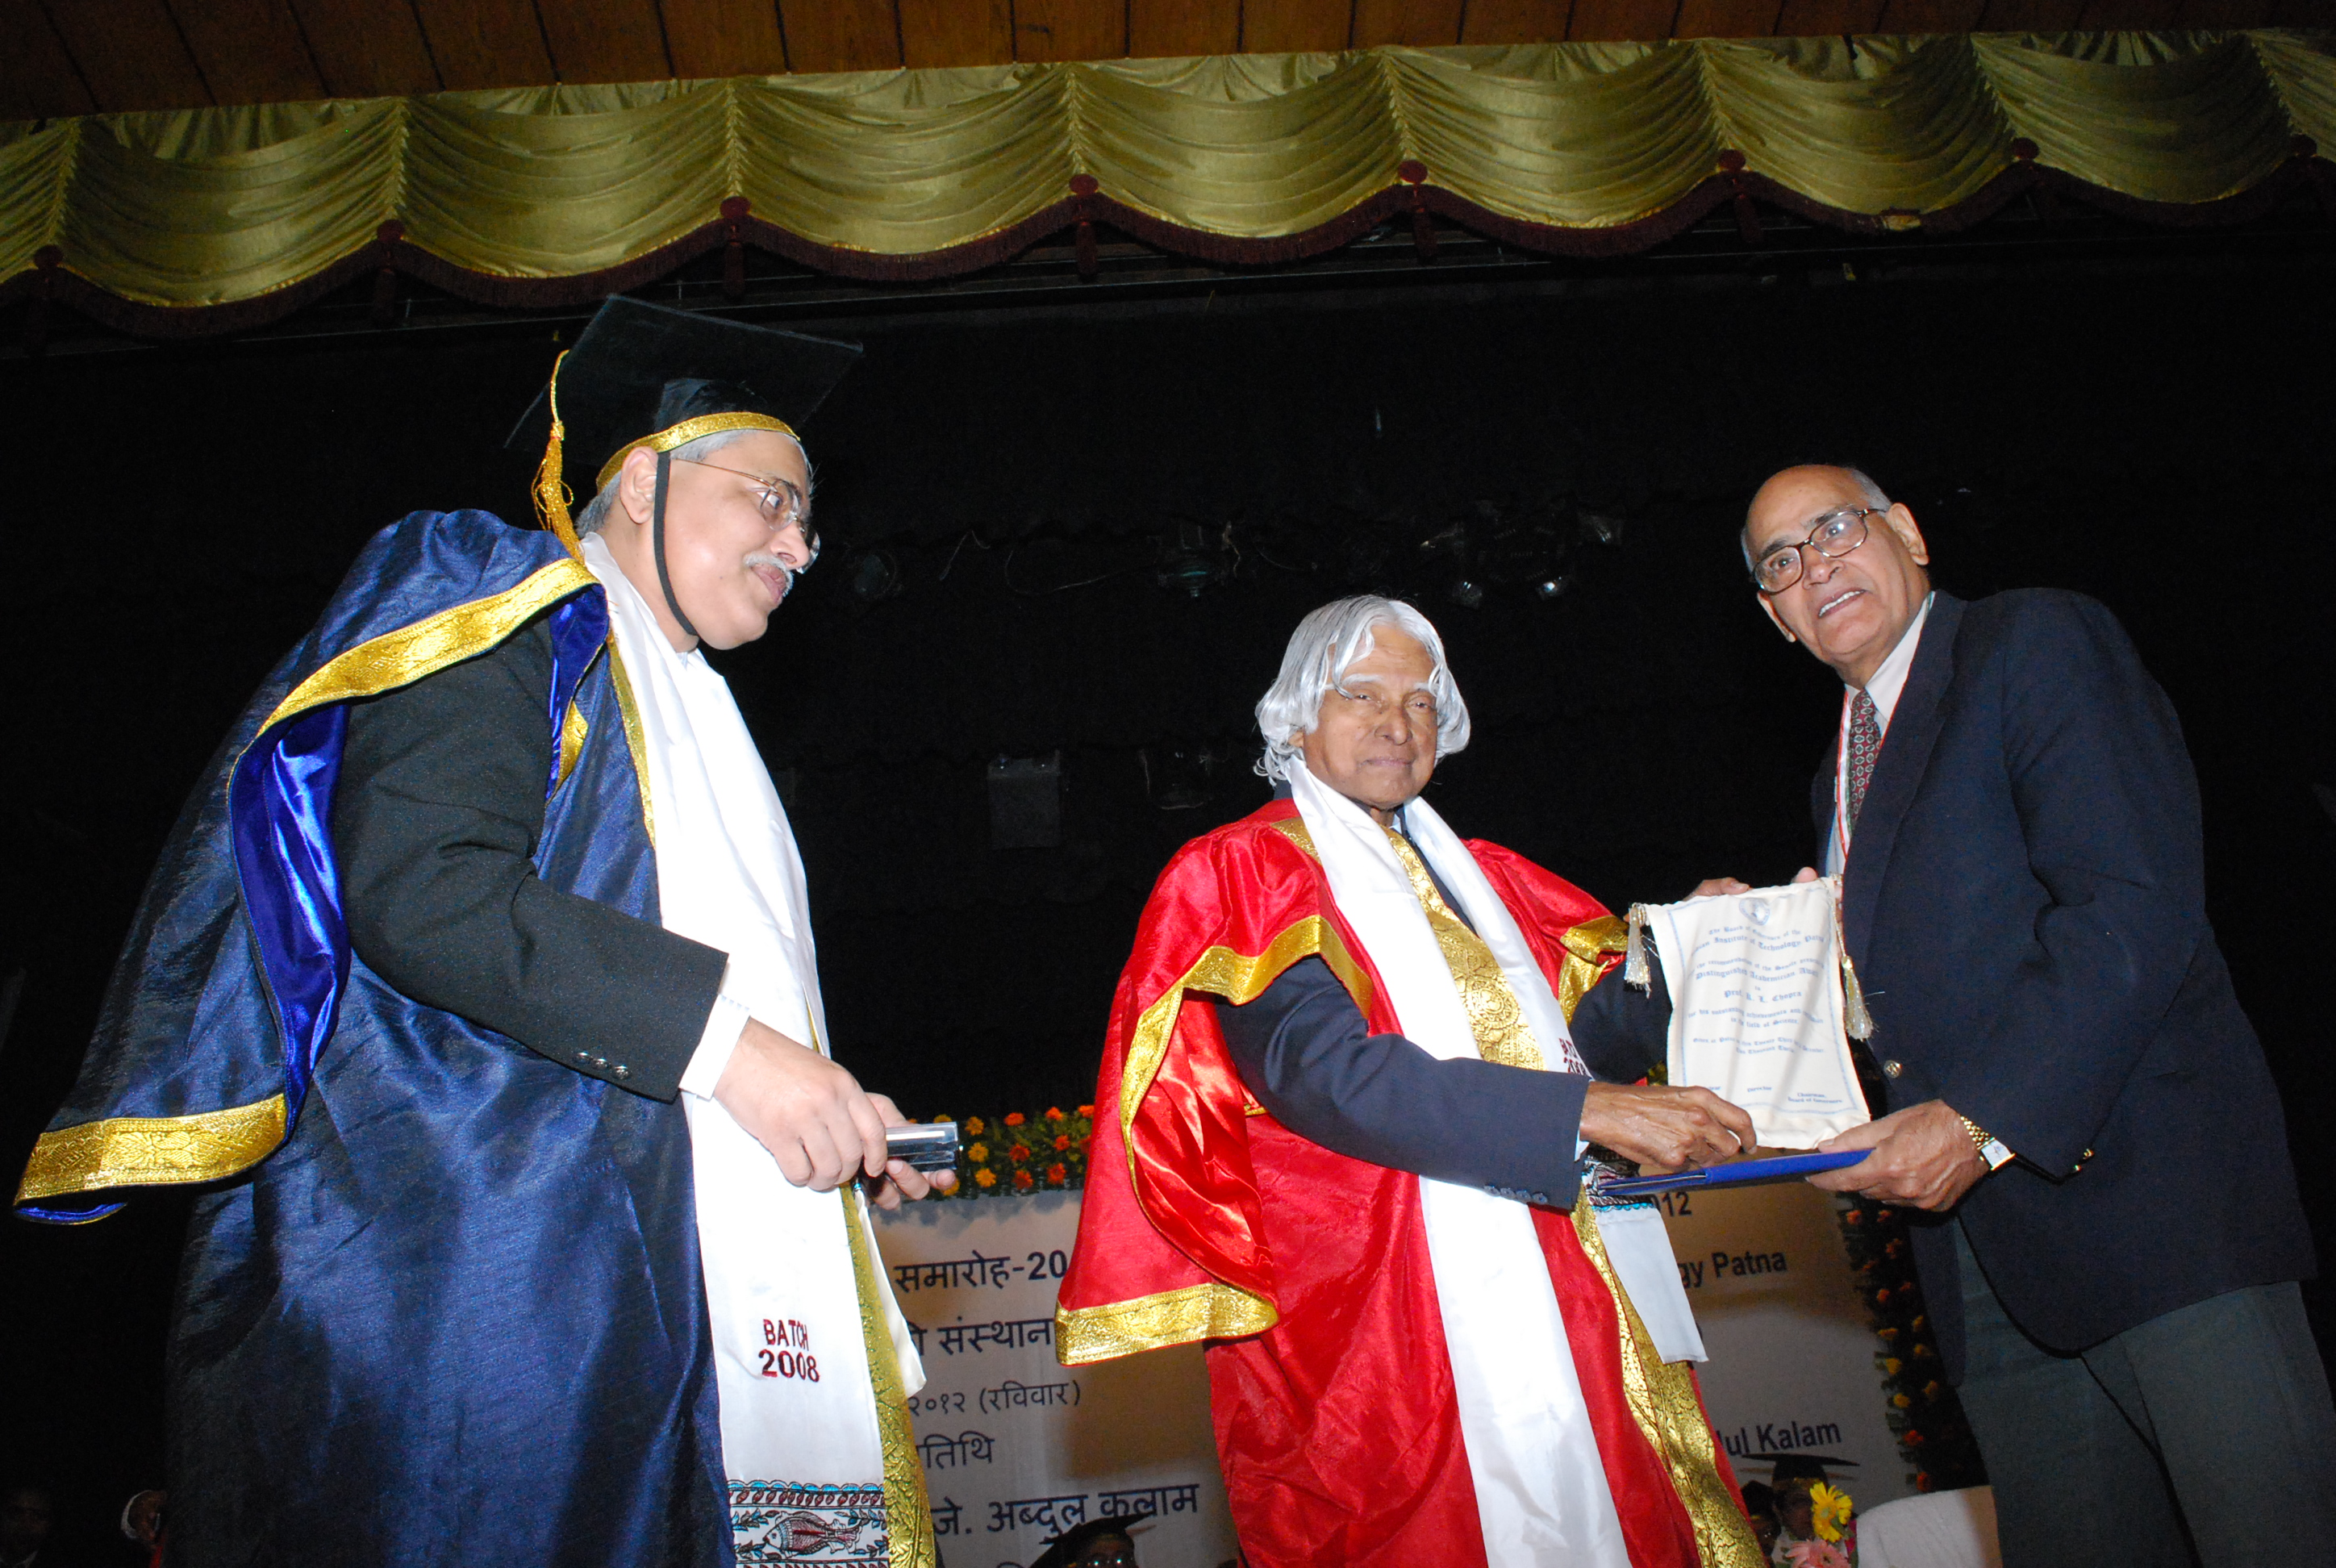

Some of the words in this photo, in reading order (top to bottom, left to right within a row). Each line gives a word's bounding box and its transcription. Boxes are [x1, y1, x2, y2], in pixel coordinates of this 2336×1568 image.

[887, 1244, 1075, 1295] समारोहः२०
[1700, 1241, 1792, 1282] Patna
[763, 1316, 812, 1356] BATCH
[933, 1309, 1056, 1357] संस्थान
[752, 1345, 822, 1387] 2008
[904, 1388, 970, 1420] २०१२
[984, 1373, 1073, 1412] रविवार
[914, 1428, 997, 1473] तिथि
[1751, 1418, 1846, 1457] Kalam
[927, 1490, 976, 1541] जे.
[984, 1491, 1090, 1549] अब्दुल
[1096, 1478, 1203, 1524] कलाम